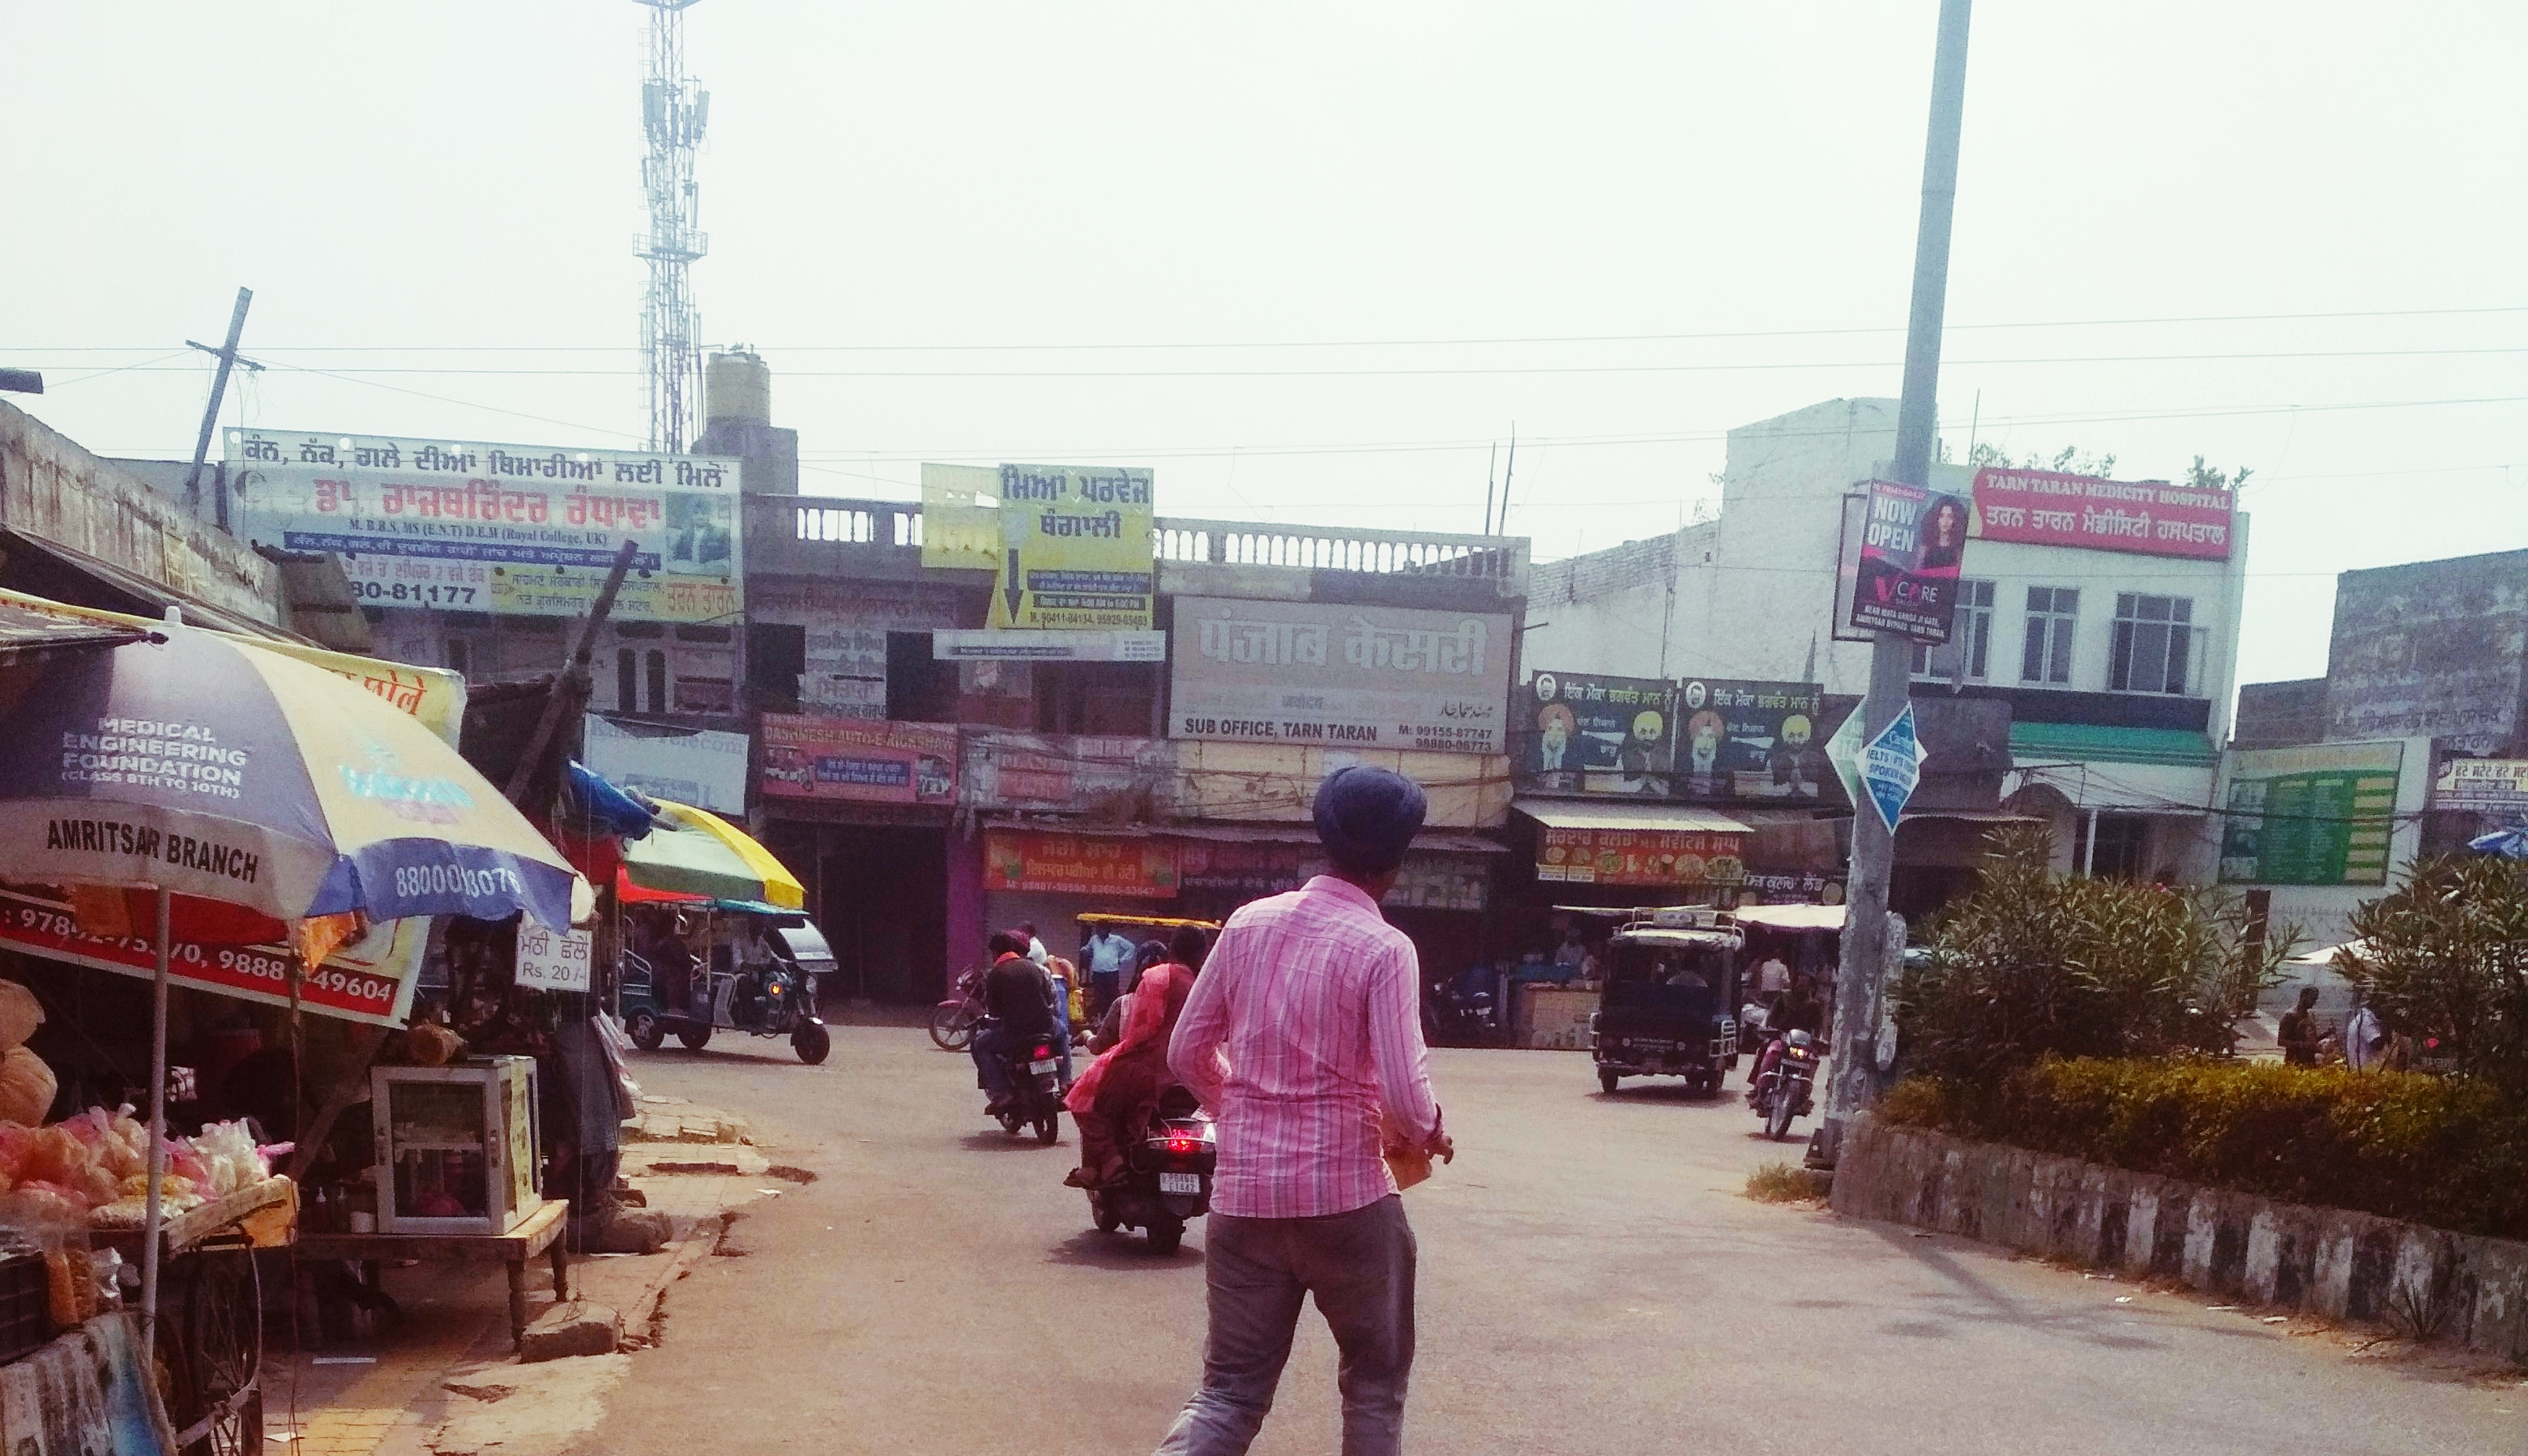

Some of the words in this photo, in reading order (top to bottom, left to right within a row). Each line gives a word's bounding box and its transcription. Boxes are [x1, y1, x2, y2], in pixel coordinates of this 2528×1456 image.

[240, 429, 285, 466] ਕੰਨ
[292, 434, 340, 472] ਨੱਕ
[306, 472, 361, 517] ਡਾ
[350, 439, 404, 472] ਗਲੇ
[407, 442, 483, 475] ਦੀਆਂ
[370, 476, 554, 523] ਰਾਜਬਰਿੰਦਰ
[482, 446, 609, 483] ਬਿਮਾਰੀਆਂ
[560, 483, 664, 532] ਰੰਧਾਵਾ
[608, 451, 668, 488] ਲਈ
[671, 457, 733, 489] ਮਿਲੇ
[1000, 463, 1072, 506] ਮਿਆਂ
[1031, 502, 1129, 546] ਬੰਗਾਲੀ
[1076, 468, 1152, 510] ਪਰਵੇਜ
[1864, 519, 1918, 555] OPEN
[1871, 493, 1923, 528] NOW
[1982, 499, 2028, 532] ਤਰਨ
[2026, 503, 2078, 536] ਤਾਰਨ
[2075, 503, 2154, 540] ਮੈਡੀਸਿਟੀ
[2153, 516, 2230, 546] ਹਸਪਤਾਲ
[389, 580, 479, 606] 81177
[1191, 605, 1334, 677] पंजाब
[1333, 608, 1497, 681] कੇसरी
[56, 728, 250, 767] ENGINEERING
[93, 714, 218, 745] MEDICAL
[1180, 712, 1219, 735] SUB
[1216, 715, 1279, 740] OFFICE,
[1281, 719, 1326, 740] TARN
[1324, 719, 1380, 742] TARAN
[63, 770, 123, 786] CLASS
[122, 773, 162, 787] 8TH
[55, 749, 250, 789] FOUNDATION
[161, 777, 190, 792] TO
[190, 779, 235, 798] 10TH
[38, 816, 164, 864] AMRITSAR
[161, 826, 262, 888] BRANCH
[389, 861, 527, 903] 8800013076
[15, 899, 72, 939] 978
[518, 929, 554, 959] ਮਠੀ
[556, 930, 590, 963] ਛੇਲੇ
[211, 945, 291, 986] 9888
[312, 964, 398, 1006] 49604
[519, 959, 547, 980] Rs.
[545, 962, 572, 982] 20